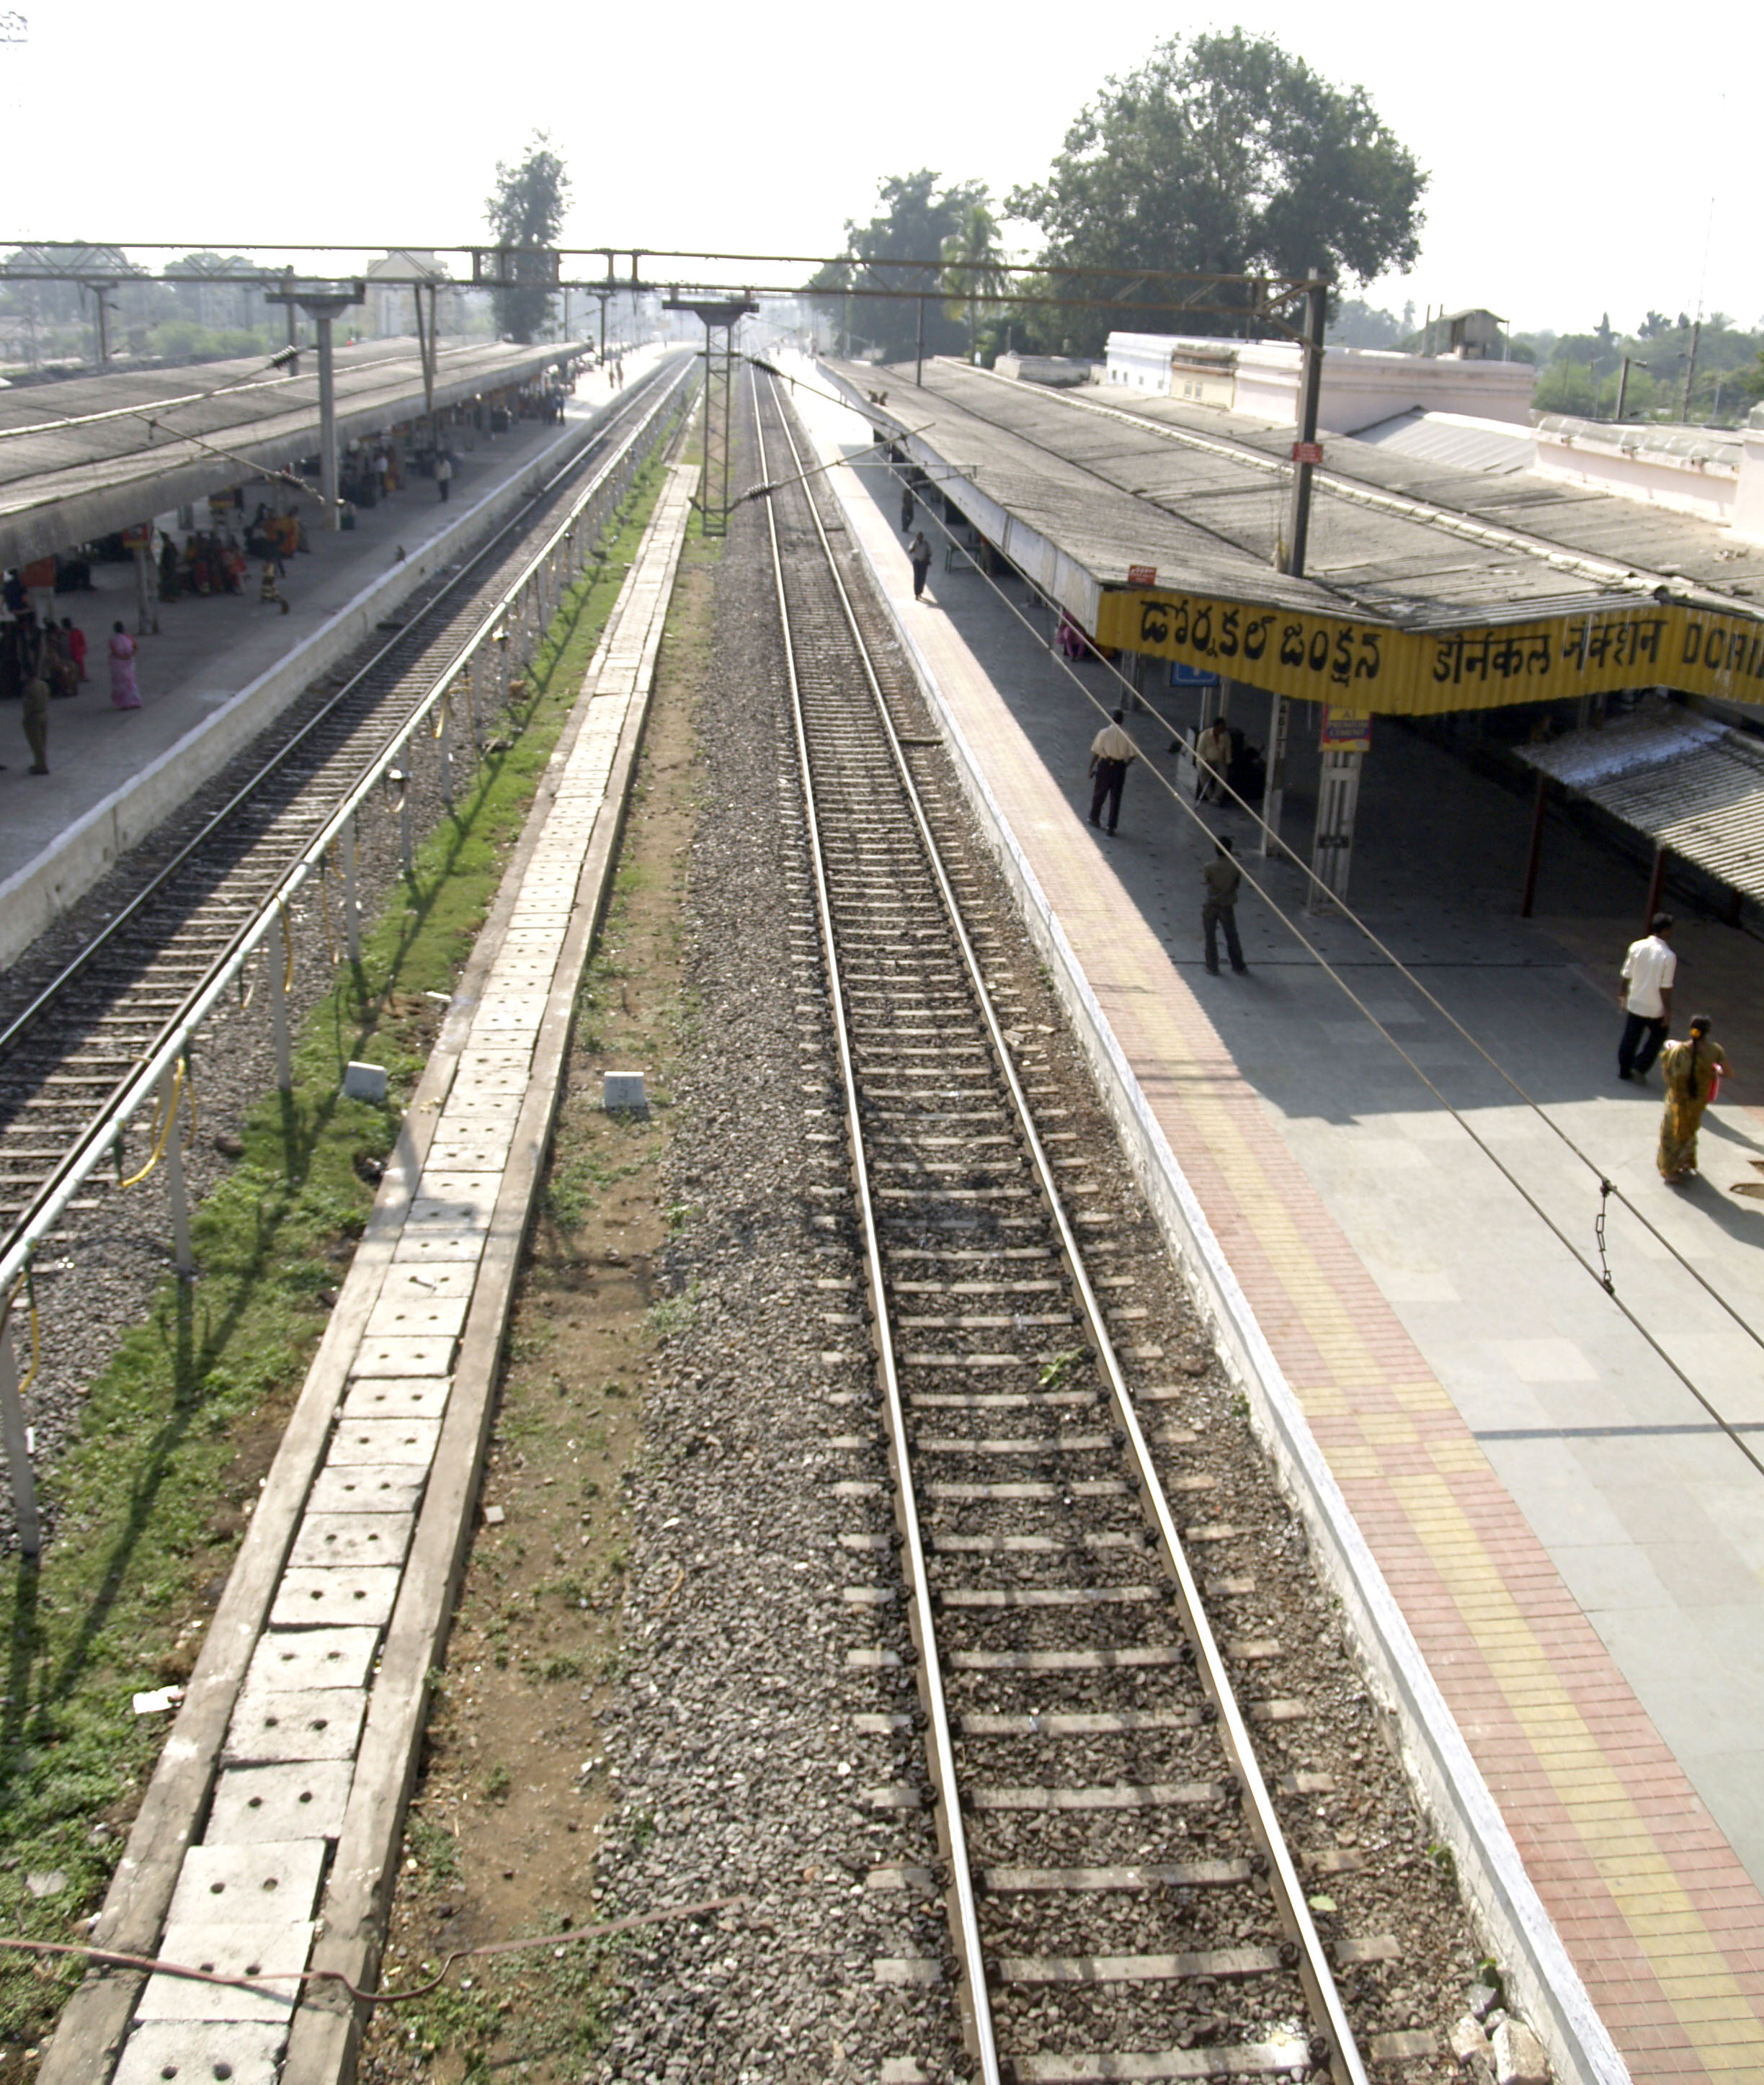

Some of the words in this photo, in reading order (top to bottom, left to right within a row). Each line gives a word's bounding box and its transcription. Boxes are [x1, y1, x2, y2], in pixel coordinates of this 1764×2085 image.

[1130, 585, 1280, 669] డోర్నకల్
[1273, 615, 1388, 689] జంక్షన్
[1419, 619, 1555, 688] डोर्नकल
[1558, 605, 1663, 677] जंक्शन